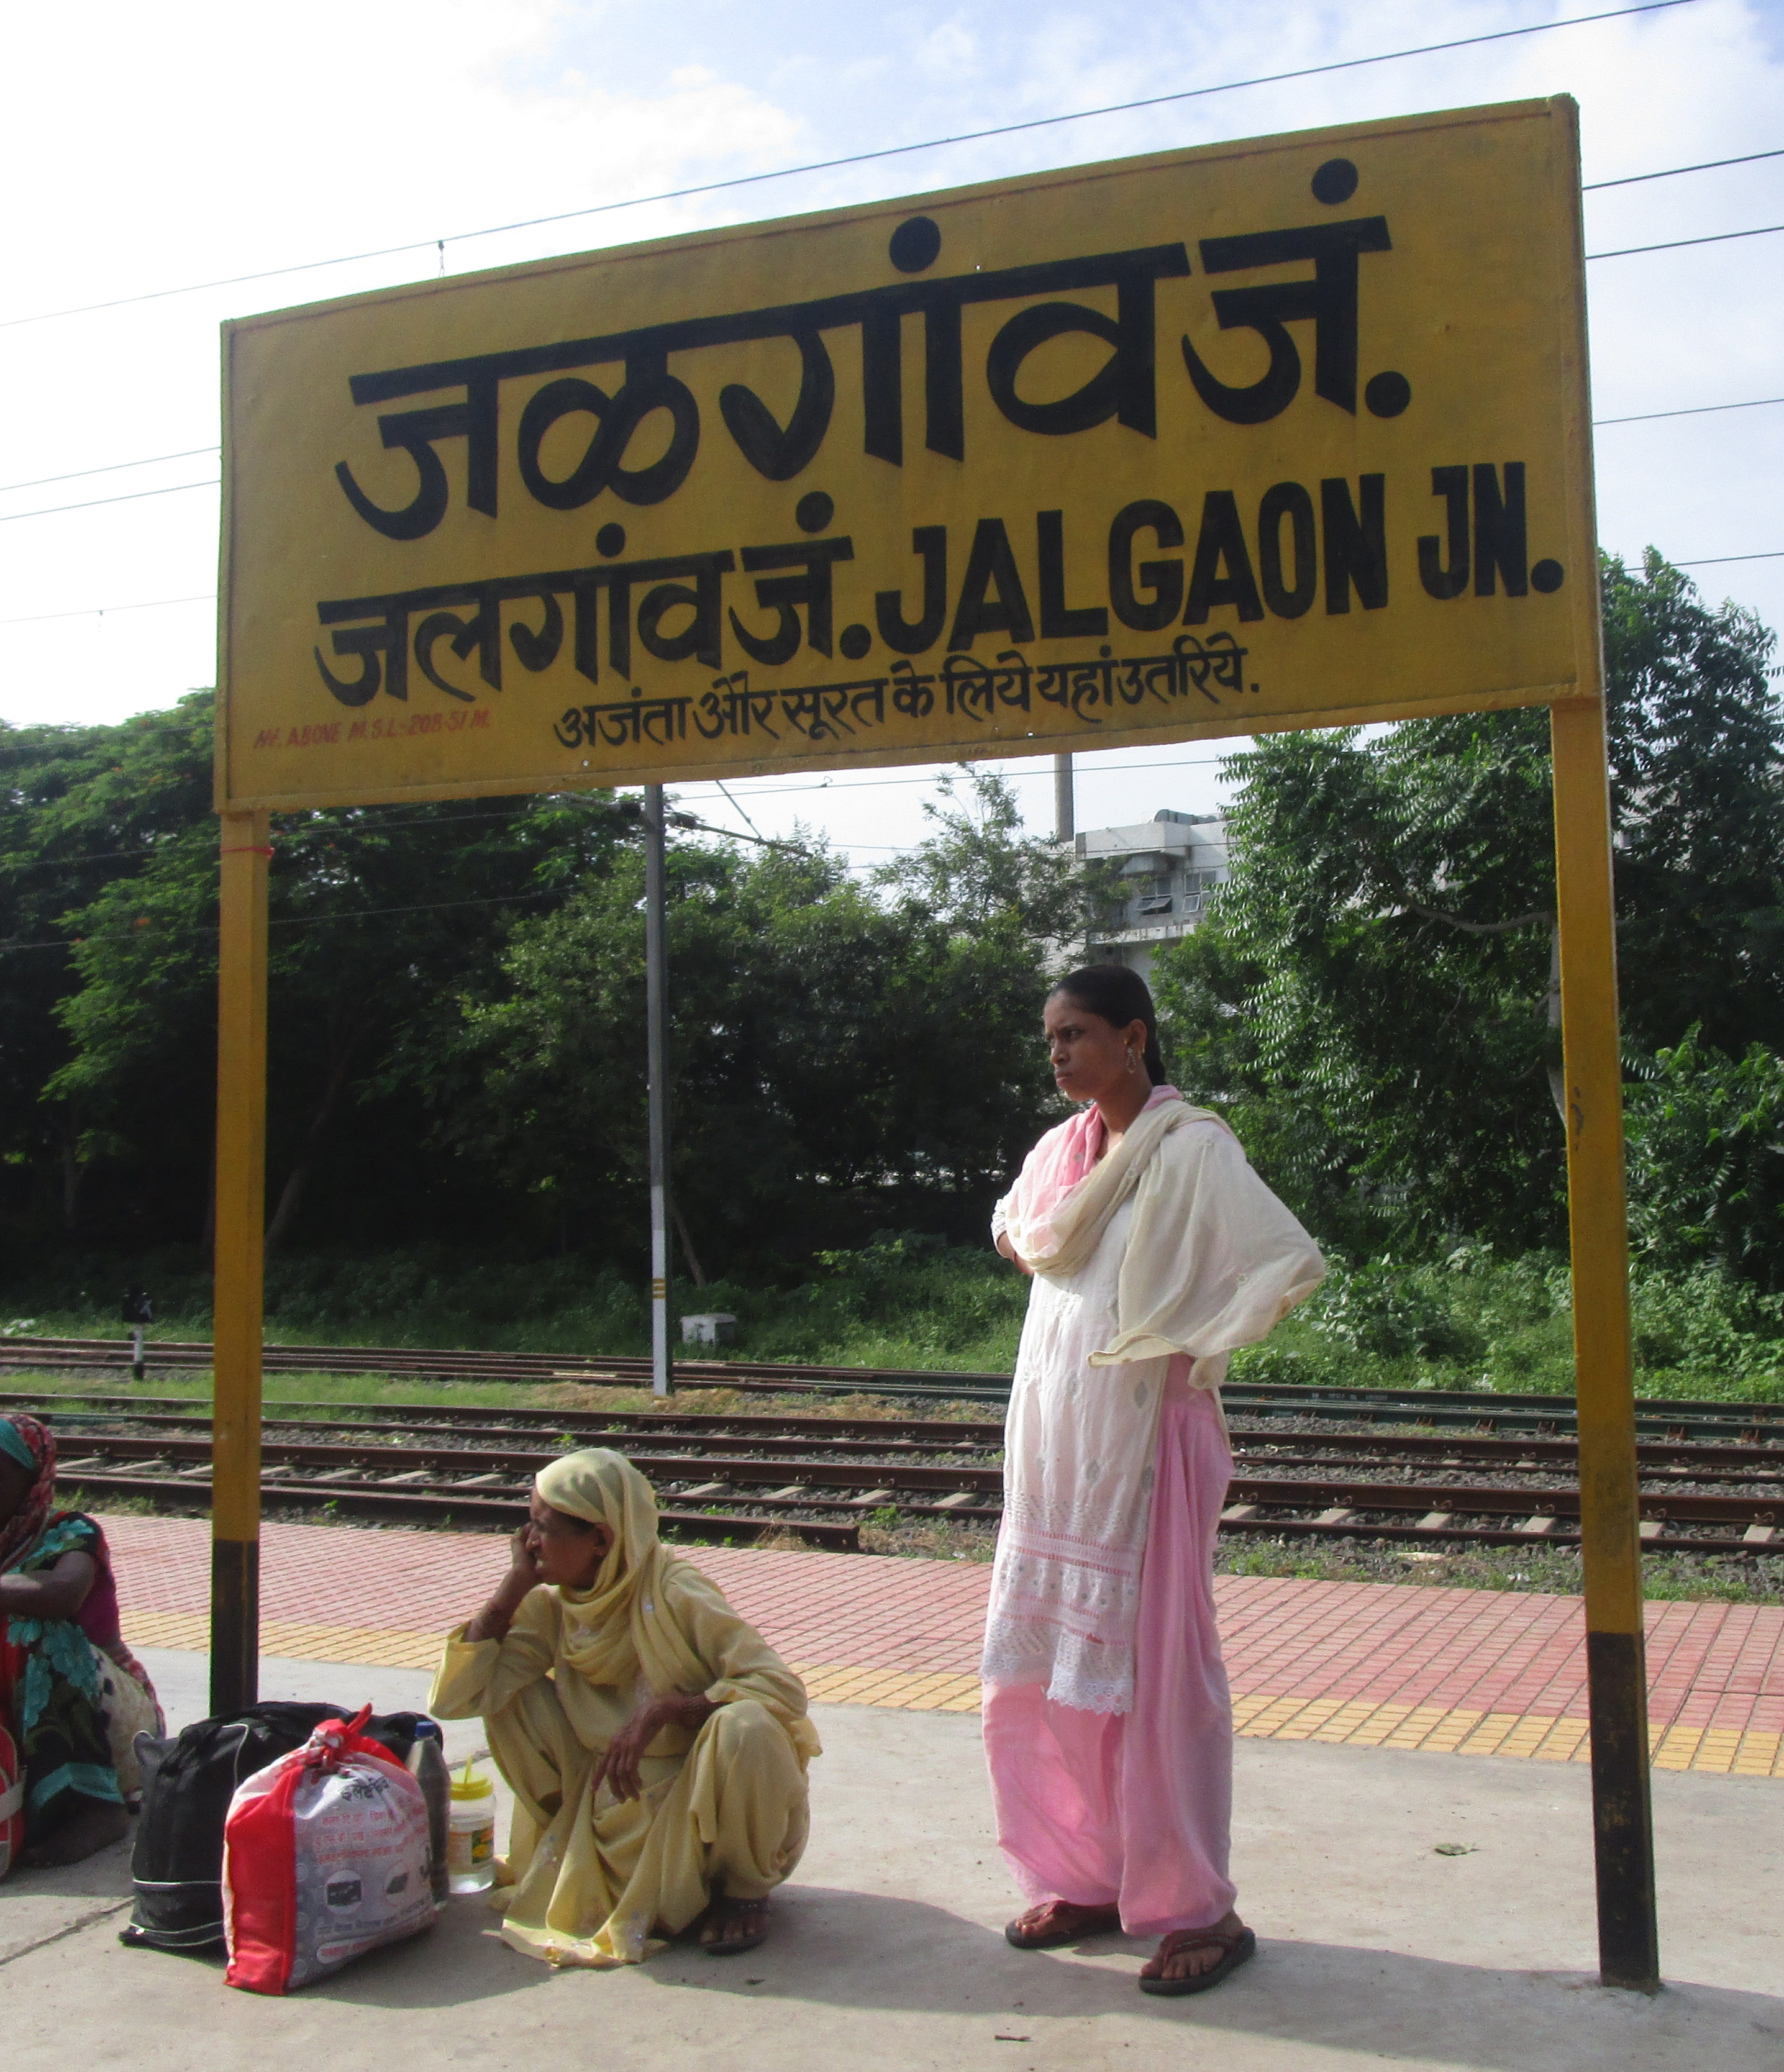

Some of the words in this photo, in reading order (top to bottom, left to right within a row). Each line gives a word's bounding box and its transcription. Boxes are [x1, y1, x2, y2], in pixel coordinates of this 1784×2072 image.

[330, 150, 1419, 554] जळगांव जं.
[308, 486, 883, 723] जलगांव जं.
[865, 468, 1411, 659] JALGAON
[1401, 443, 1563, 629] JN.
[535, 675, 704, 763] अजंता
[683, 662, 789, 748] और
[778, 669, 890, 751] सूरत
[878, 646, 945, 728] के
[930, 635, 1044, 729] लिये
[1031, 623, 1129, 740] यहां
[1110, 625, 1272, 719] उतरिये.